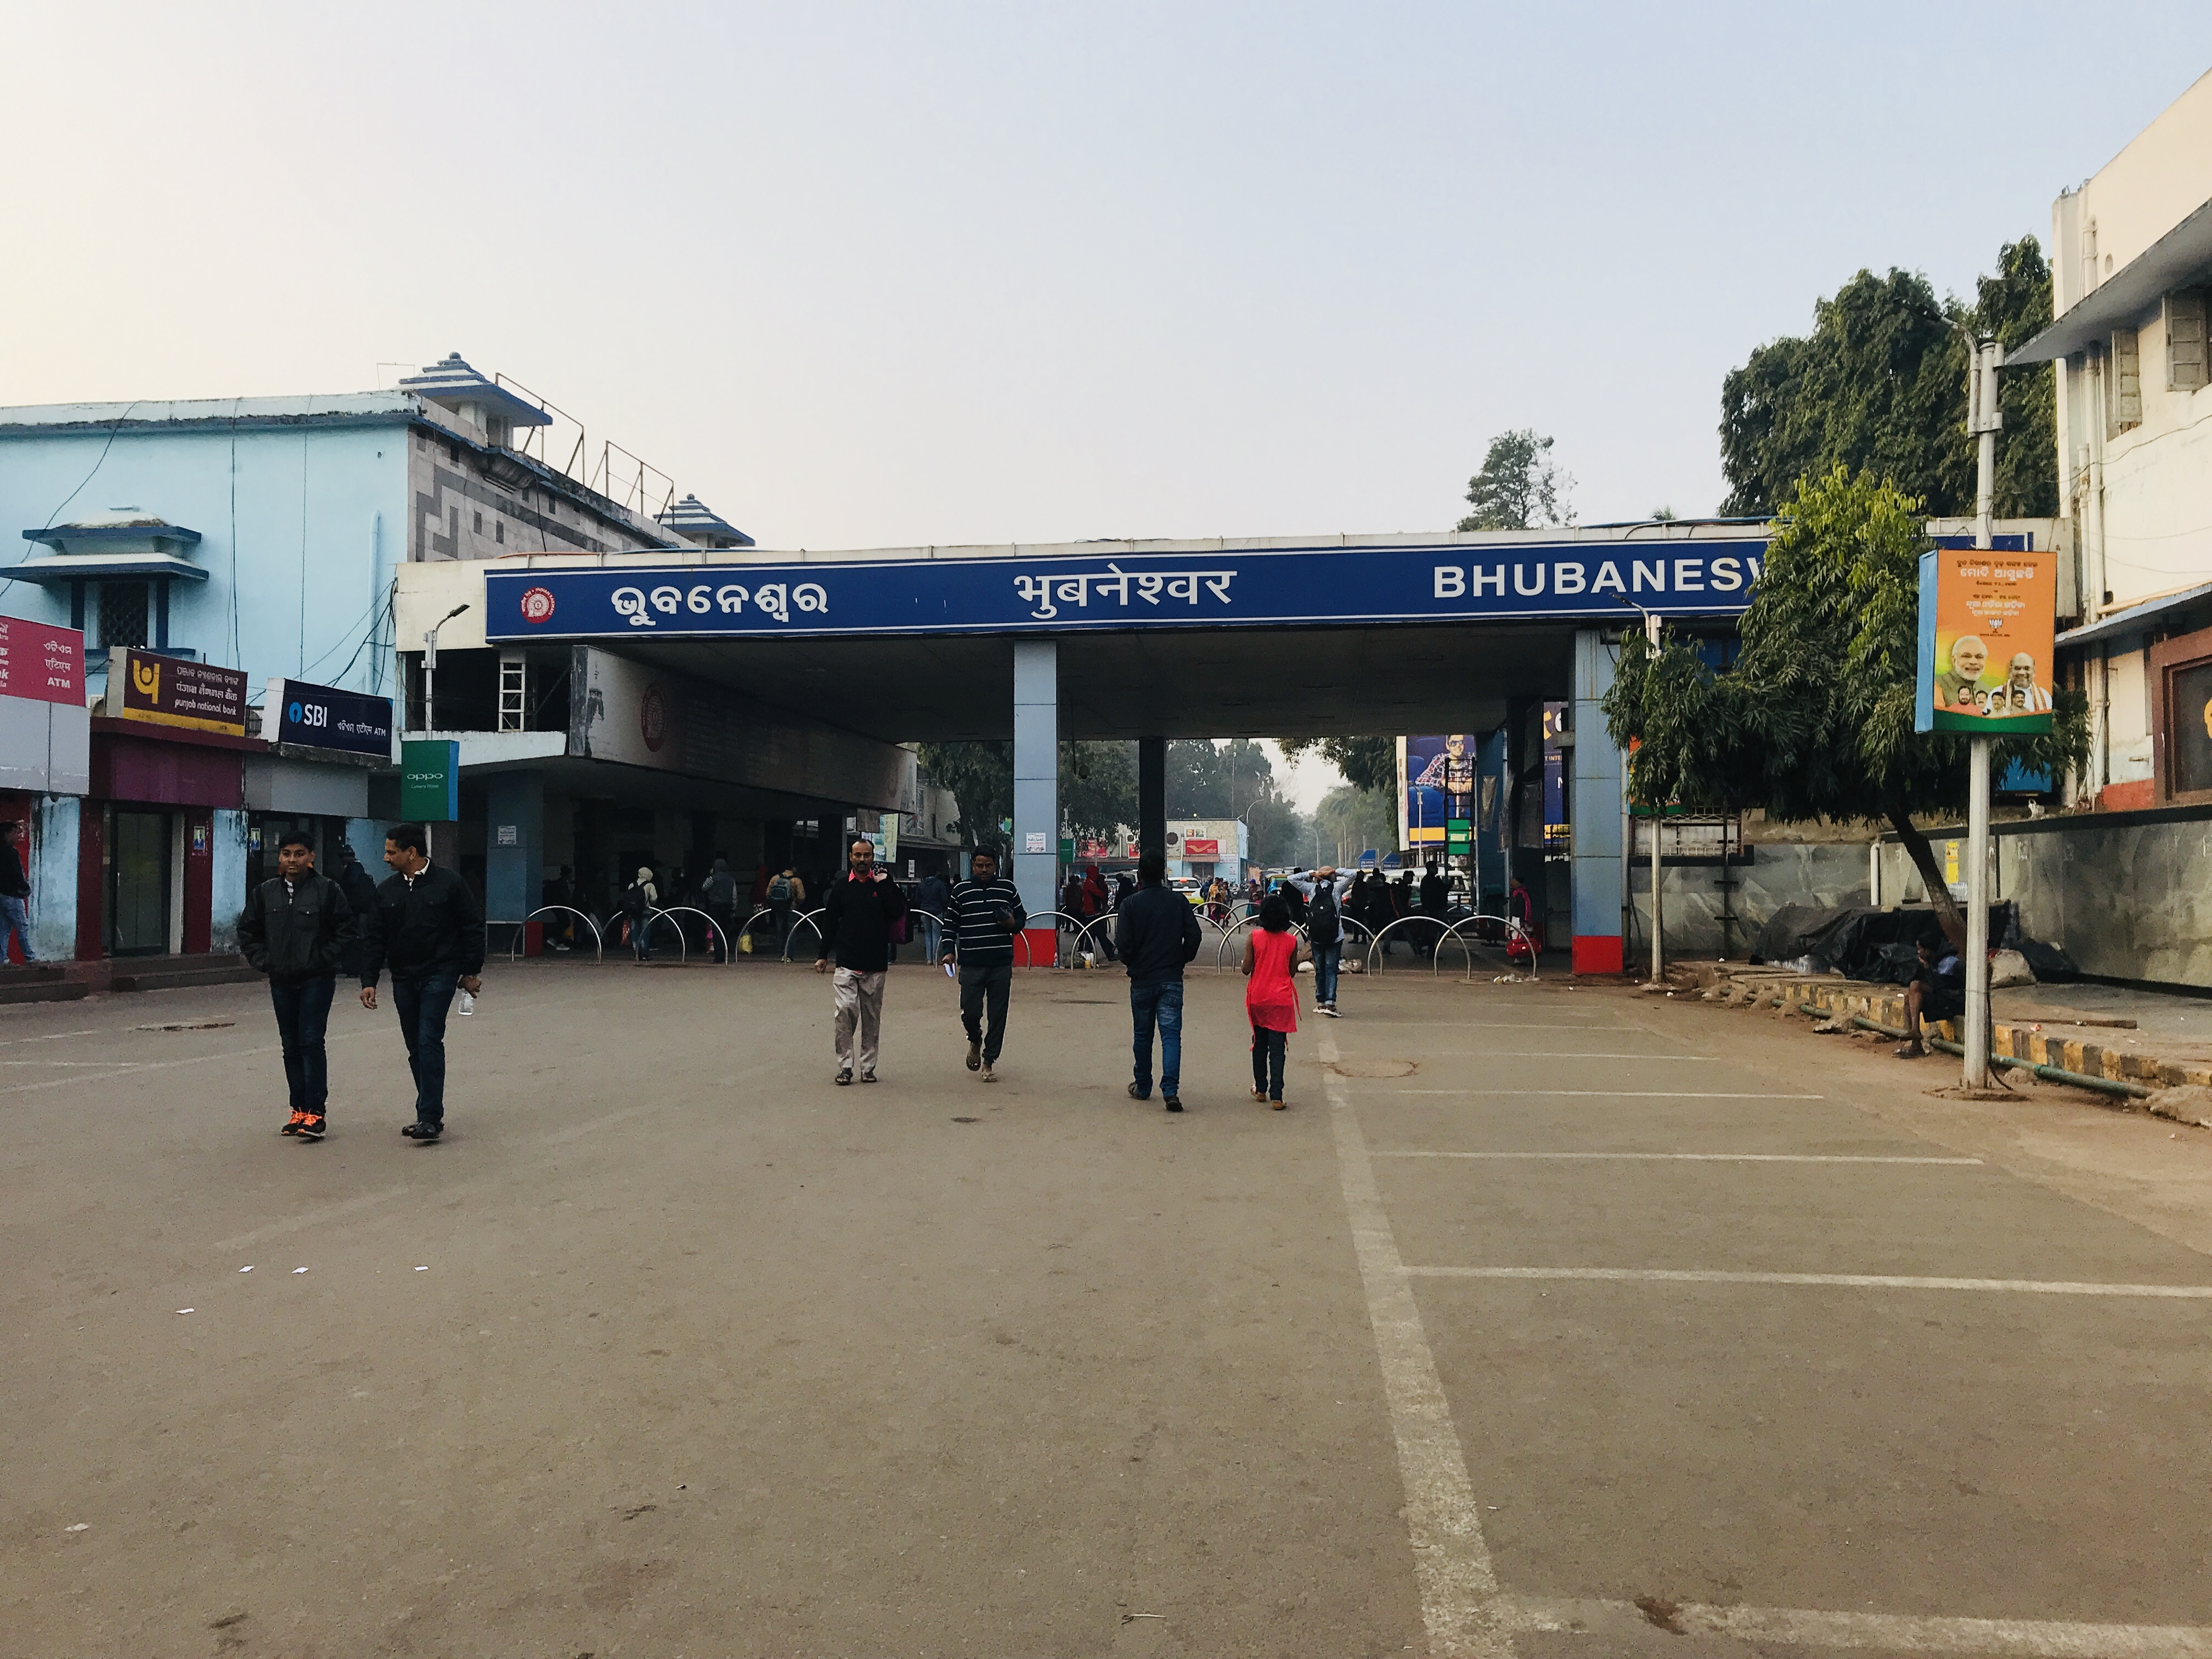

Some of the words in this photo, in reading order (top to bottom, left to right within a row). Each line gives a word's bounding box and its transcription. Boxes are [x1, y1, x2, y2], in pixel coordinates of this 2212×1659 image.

[1431, 555, 1758, 603] BHUBANES)
[1956, 565, 1992, 580] ମୋତି
[1990, 563, 2038, 584] ଆସୁଛନ୍ତି
[1009, 560, 1238, 627] भुबनेश्‍वर
[607, 578, 833, 629] ଭୁବନେଶ୍ବର
[41, 637, 74, 657] ଏଚିଏମ
[43, 654, 74, 674] एटिएम
[46, 675, 74, 690] ATM
[173, 679, 199, 696] पंजाब
[174, 663, 199, 679] ପଞ୍ଜାବ
[195, 669, 224, 683] ନ୍ୟାସନାଲ
[195, 681, 226, 701] नैशनल
[219, 672, 242, 686] ବ୍ୟାଙ୍କ
[221, 685, 241, 704] बैंक
[171, 696, 200, 714] punjab
[195, 699, 225, 715] national
[221, 705, 240, 717] bank
[301, 699, 330, 730] SBI
[332, 718, 357, 735] ଏଟିଏମ
[353, 720, 374, 738] एटीएम
[372, 725, 390, 739] ATM
[405, 770, 445, 783] OPPO